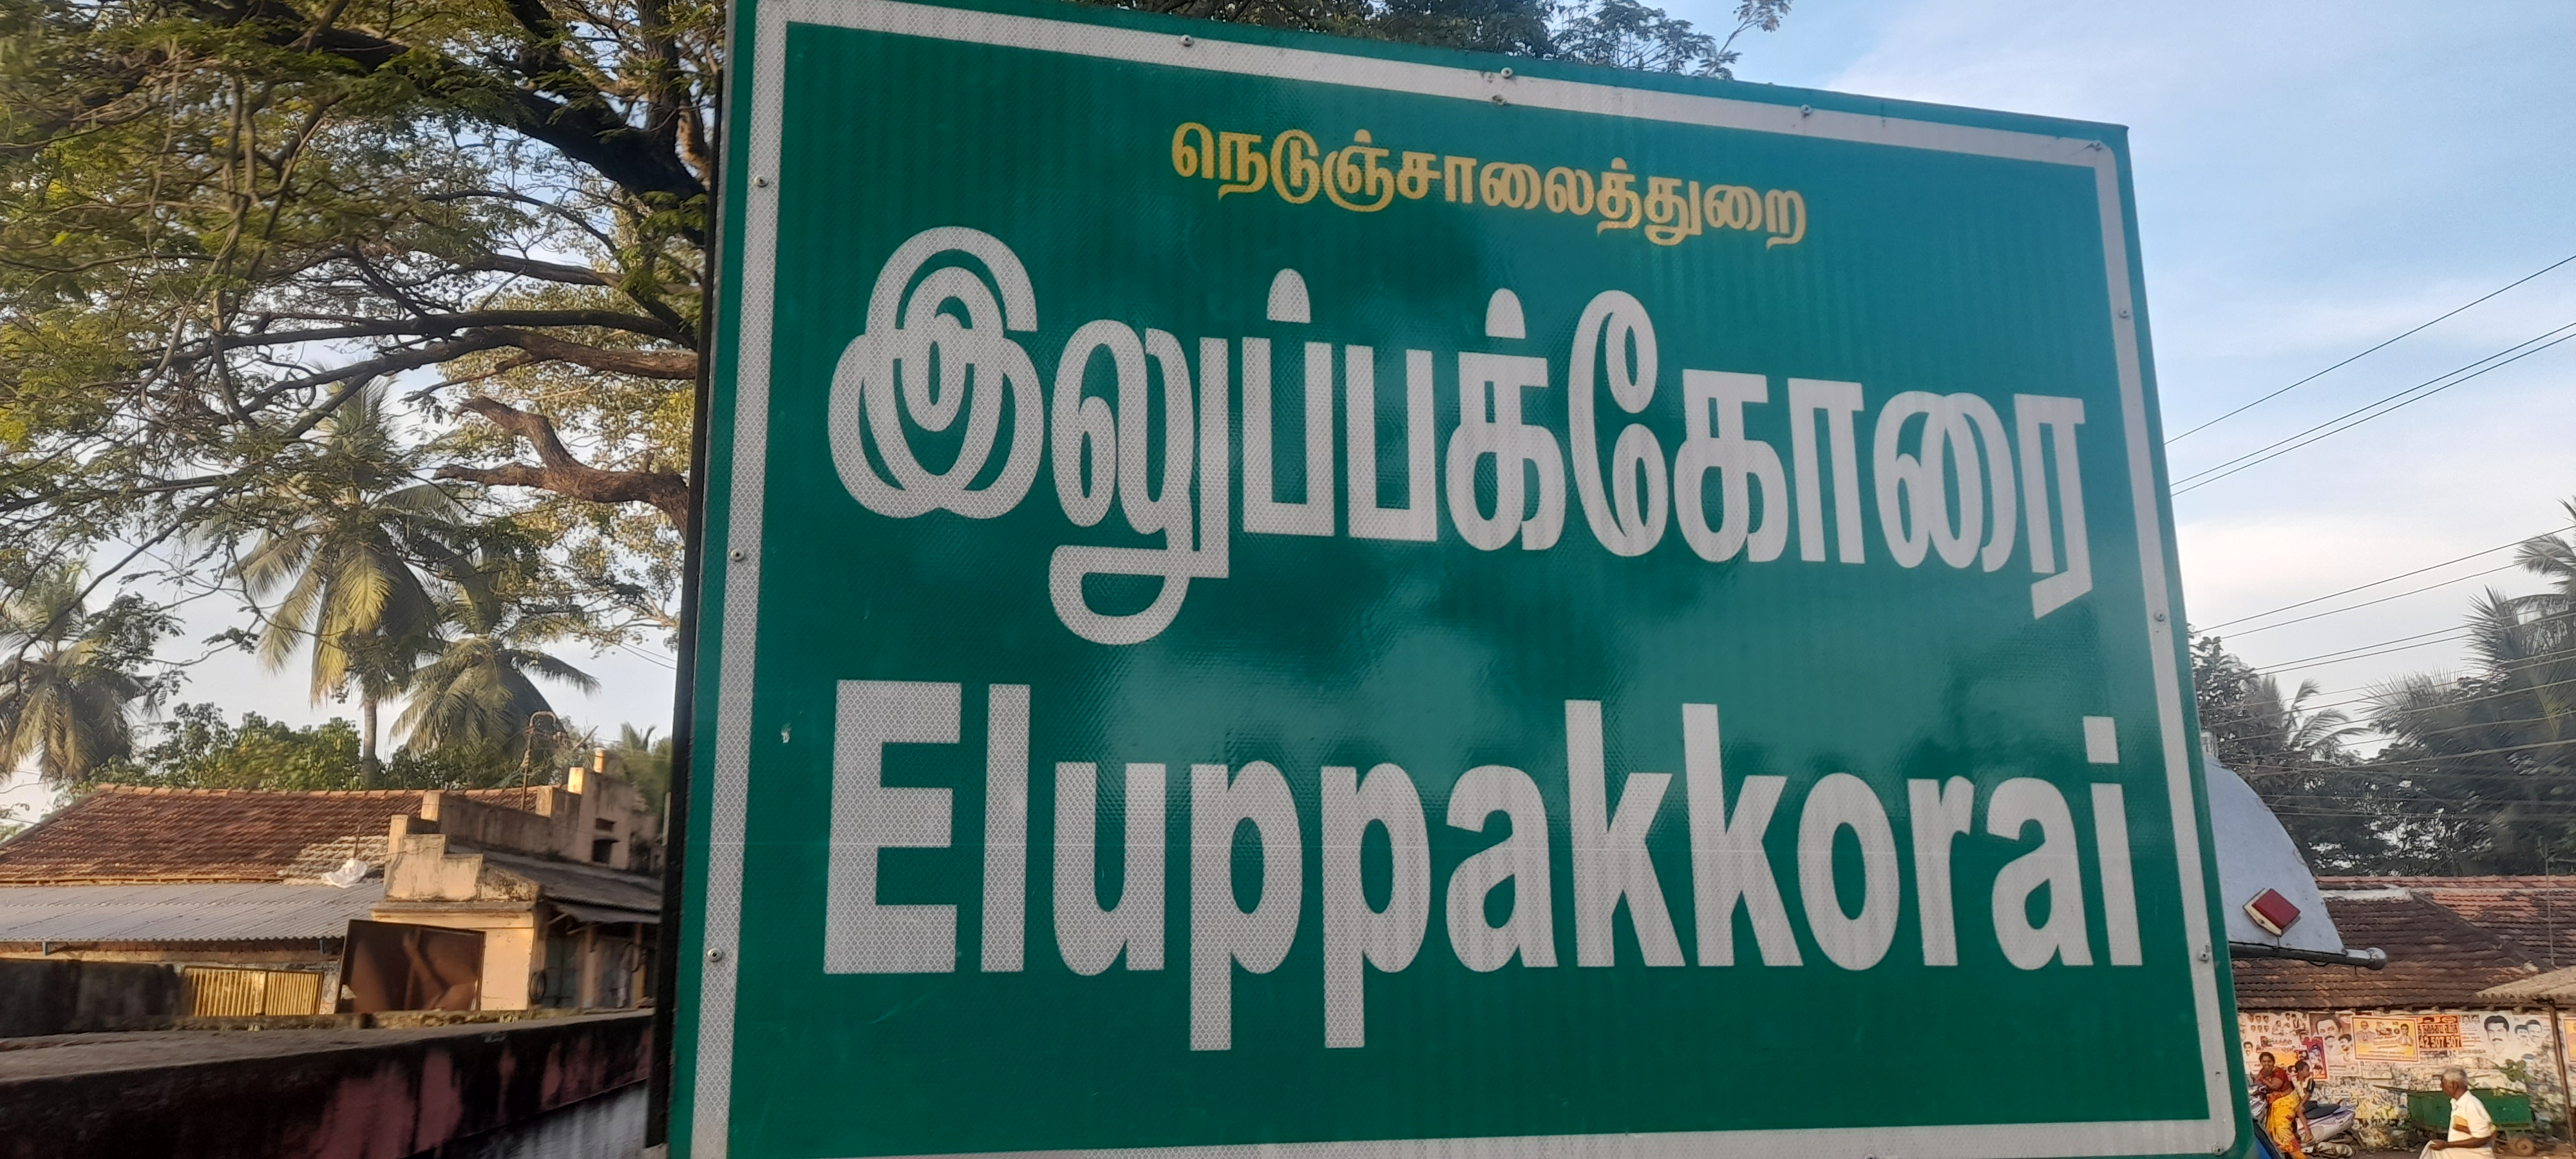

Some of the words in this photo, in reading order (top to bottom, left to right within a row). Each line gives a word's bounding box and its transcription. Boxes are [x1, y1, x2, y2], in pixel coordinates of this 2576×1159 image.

[1160, 111, 1815, 253] நெடுஞ்சாலைத்துறை
[811, 209, 2103, 661] இலுப்பக்கோரை
[811, 667, 2146, 1064] Eluppakkorai